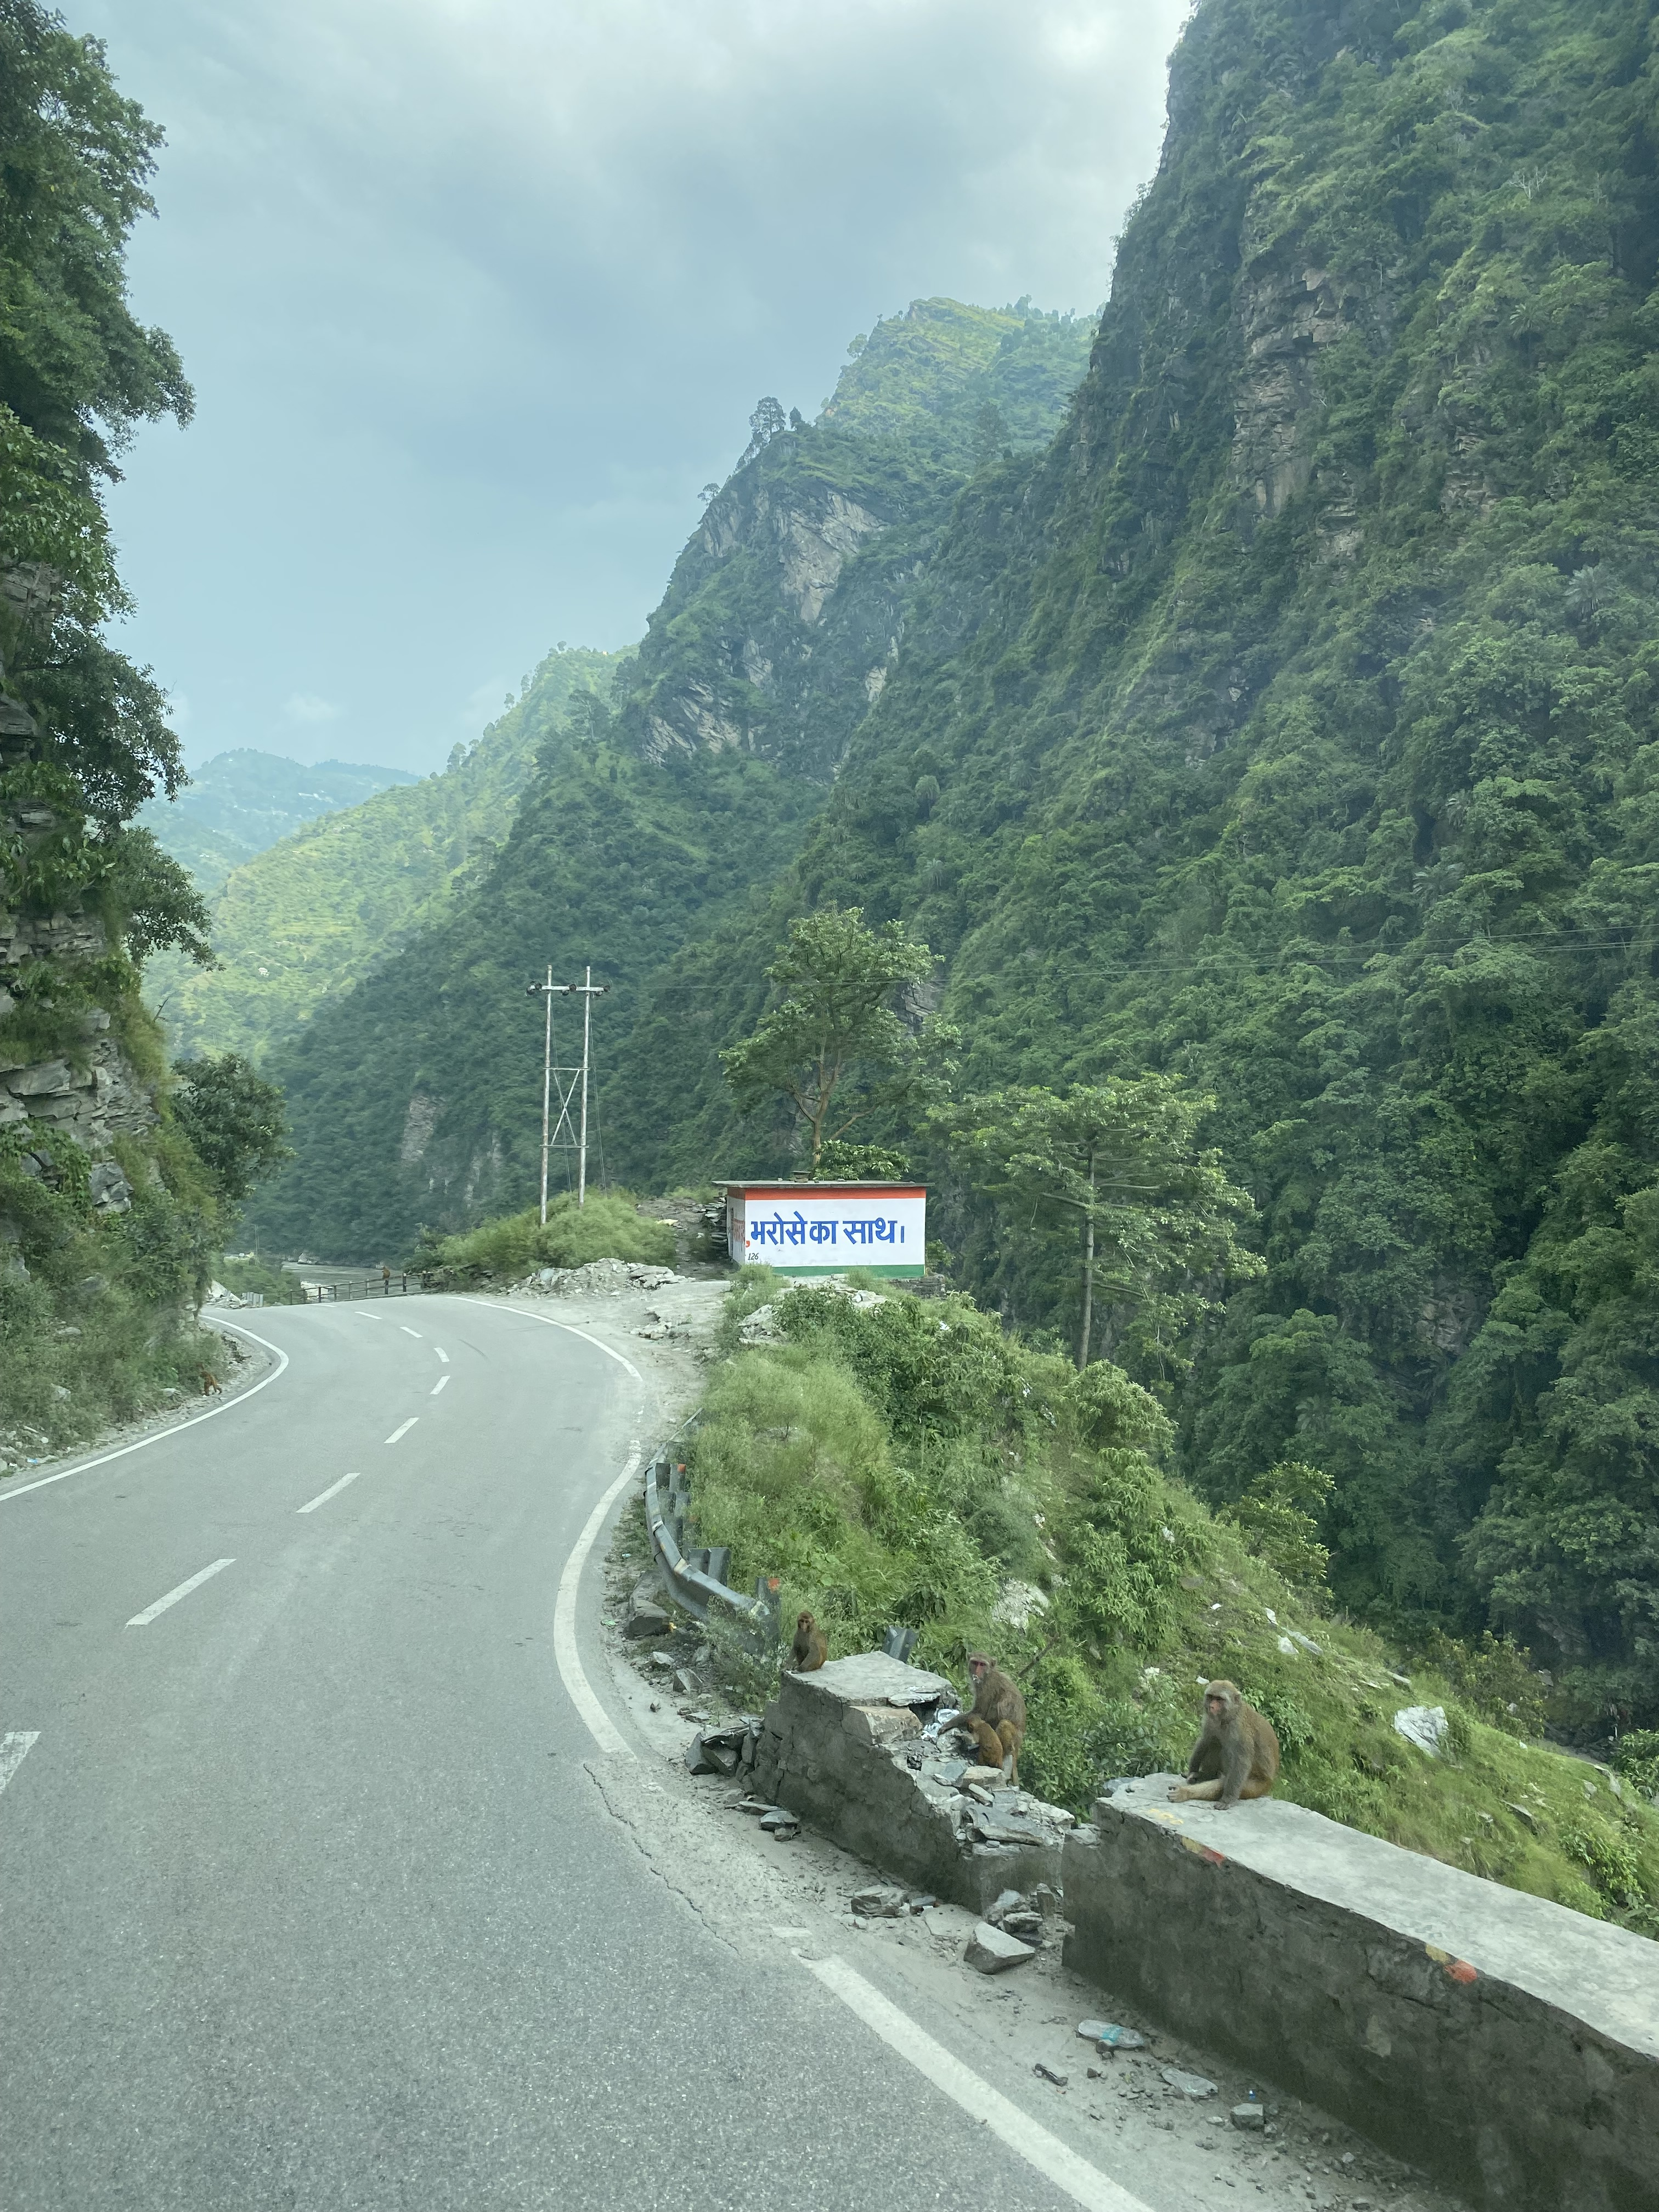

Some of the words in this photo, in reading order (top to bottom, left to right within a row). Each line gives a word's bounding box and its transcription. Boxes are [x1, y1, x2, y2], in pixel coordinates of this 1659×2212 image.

[748, 1209, 811, 1249] भरोसे
[806, 1218, 843, 1250] का
[839, 1216, 902, 1245] साथ